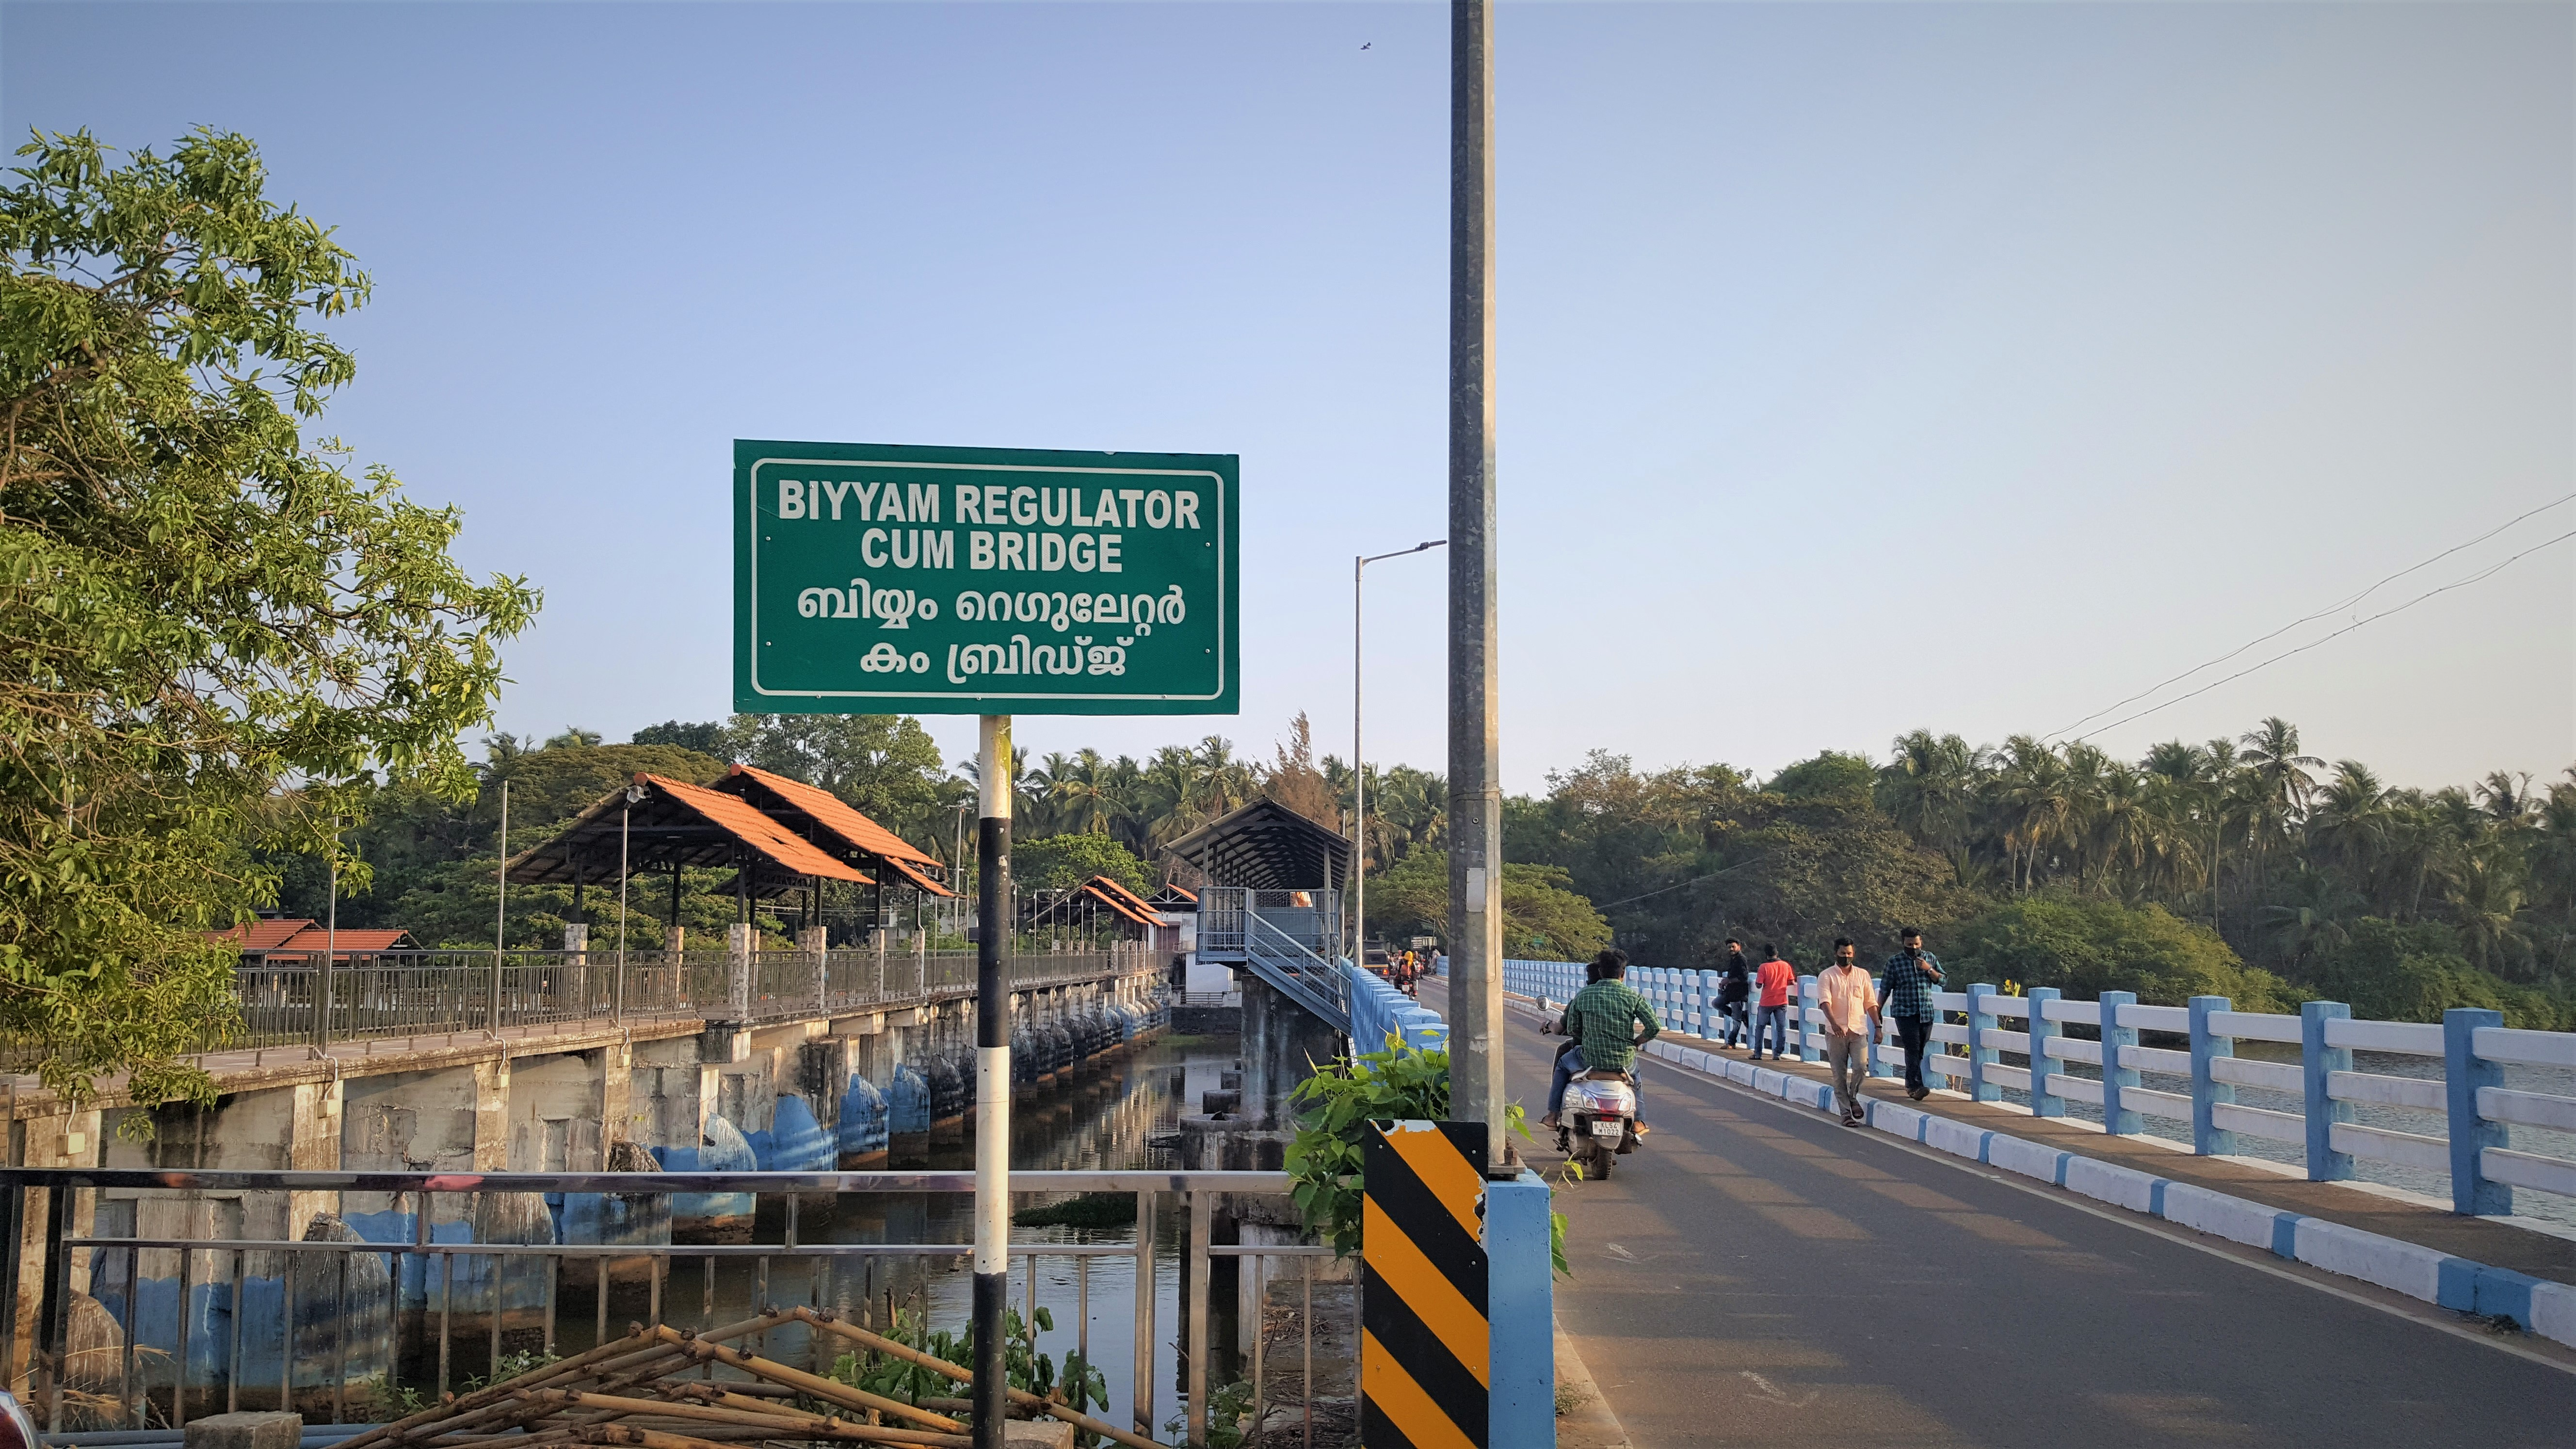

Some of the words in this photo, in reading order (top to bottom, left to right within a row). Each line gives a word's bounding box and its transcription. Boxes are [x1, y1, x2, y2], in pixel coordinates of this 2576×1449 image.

[777, 477, 942, 525] BIYYAM
[952, 482, 1204, 533] REGULATOR
[859, 522, 958, 572] CUM
[966, 528, 1124, 576] BRIDGE
[794, 573, 940, 630] ബിയ്യും
[951, 580, 1187, 637] റെഗുലേറ്റർ
[856, 642, 931, 677] കം
[945, 628, 1136, 686] ബ്രിഡ്‌ജ്